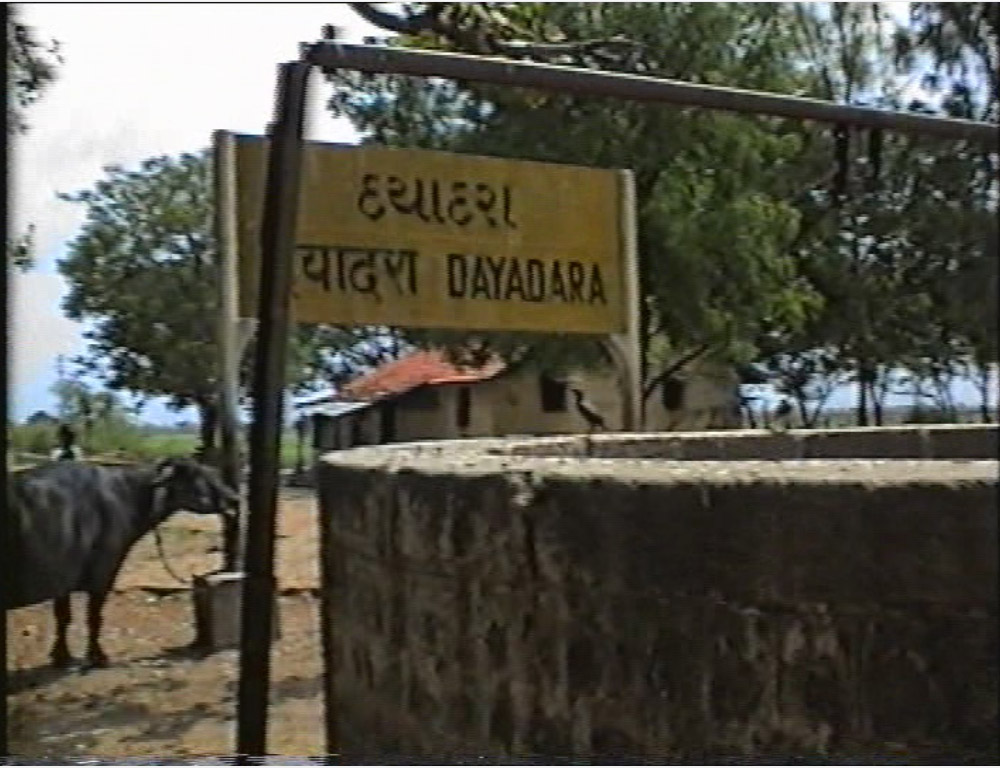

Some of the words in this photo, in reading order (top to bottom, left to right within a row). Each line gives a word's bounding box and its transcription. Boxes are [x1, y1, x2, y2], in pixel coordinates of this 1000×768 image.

[353, 163, 523, 236] દયાદરા
[285, 237, 419, 309] यादरा
[440, 245, 610, 313] DAYADARA